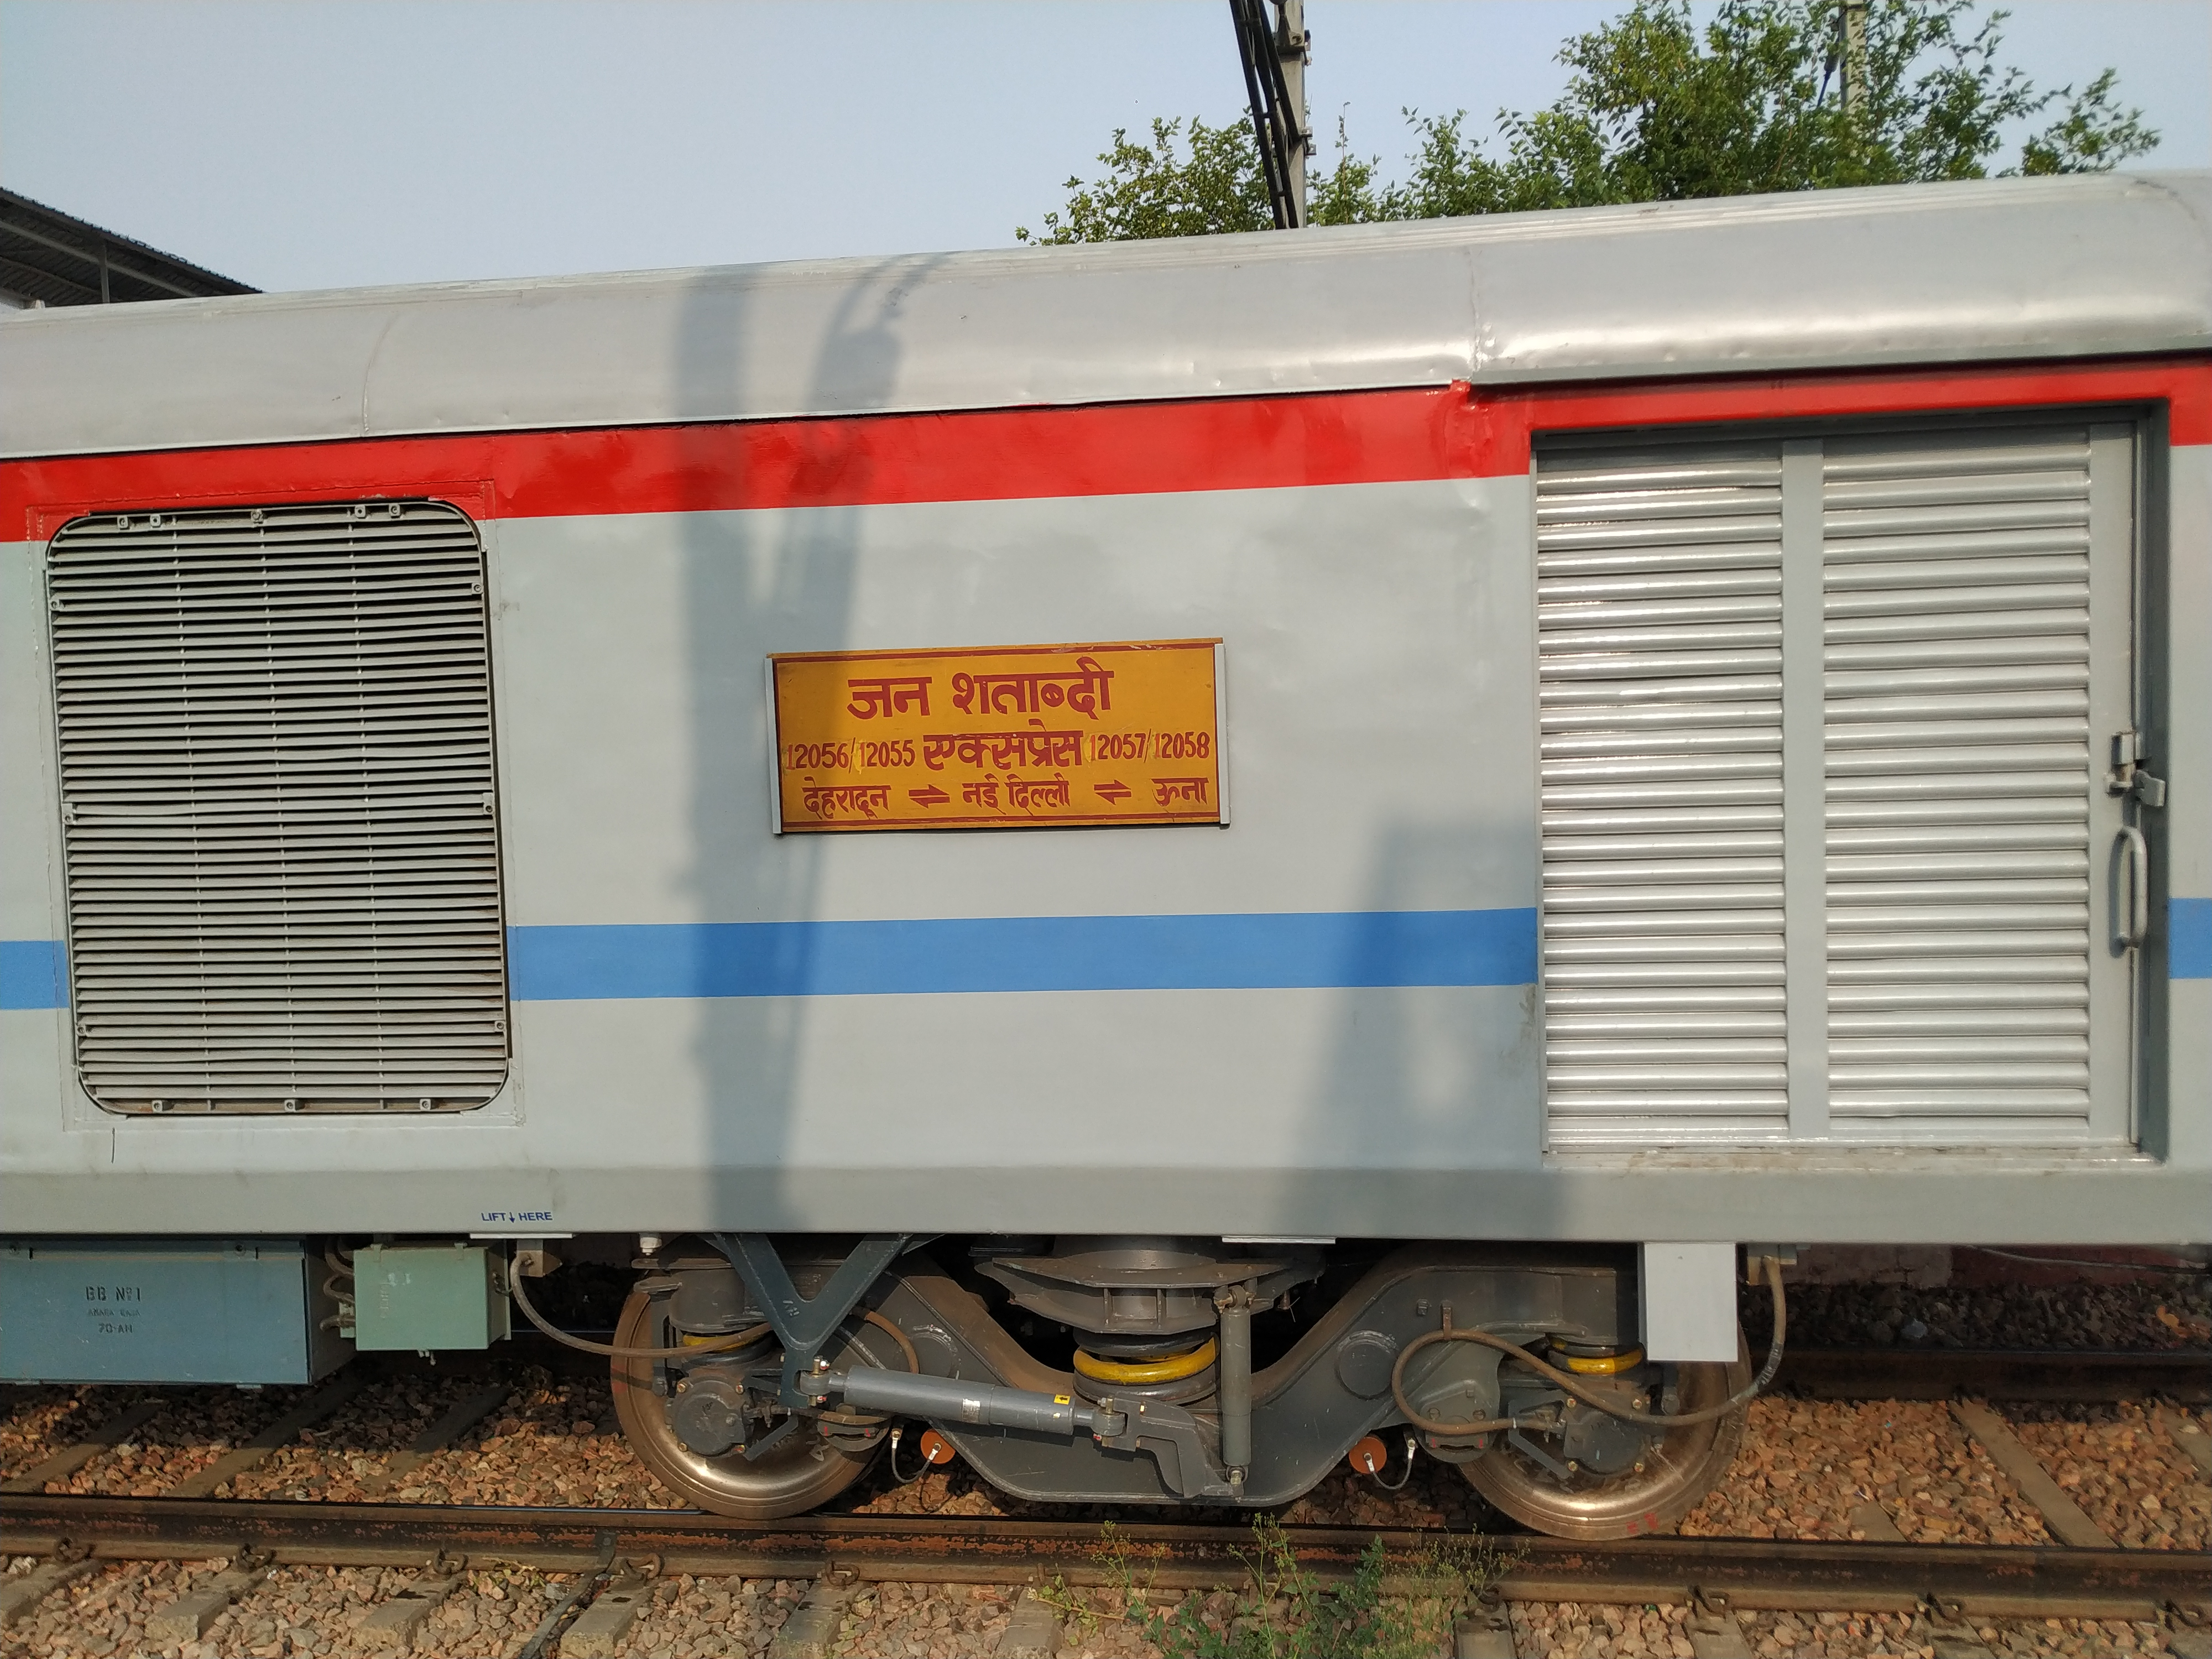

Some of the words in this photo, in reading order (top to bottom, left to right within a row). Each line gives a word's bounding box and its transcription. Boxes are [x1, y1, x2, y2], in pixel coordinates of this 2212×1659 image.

[843, 675, 934, 724] जन
[949, 651, 1118, 722] शताब्दी
[781, 733, 919, 775] 12056/12055
[920, 714, 1086, 774] एक्सप्रेस
[1082, 728, 1217, 766] 12057/12058
[797, 774, 895, 822] देहरादून
[960, 769, 1007, 817] नई
[1003, 770, 1073, 819] दिल्ली
[1150, 774, 1211, 810] ऊना